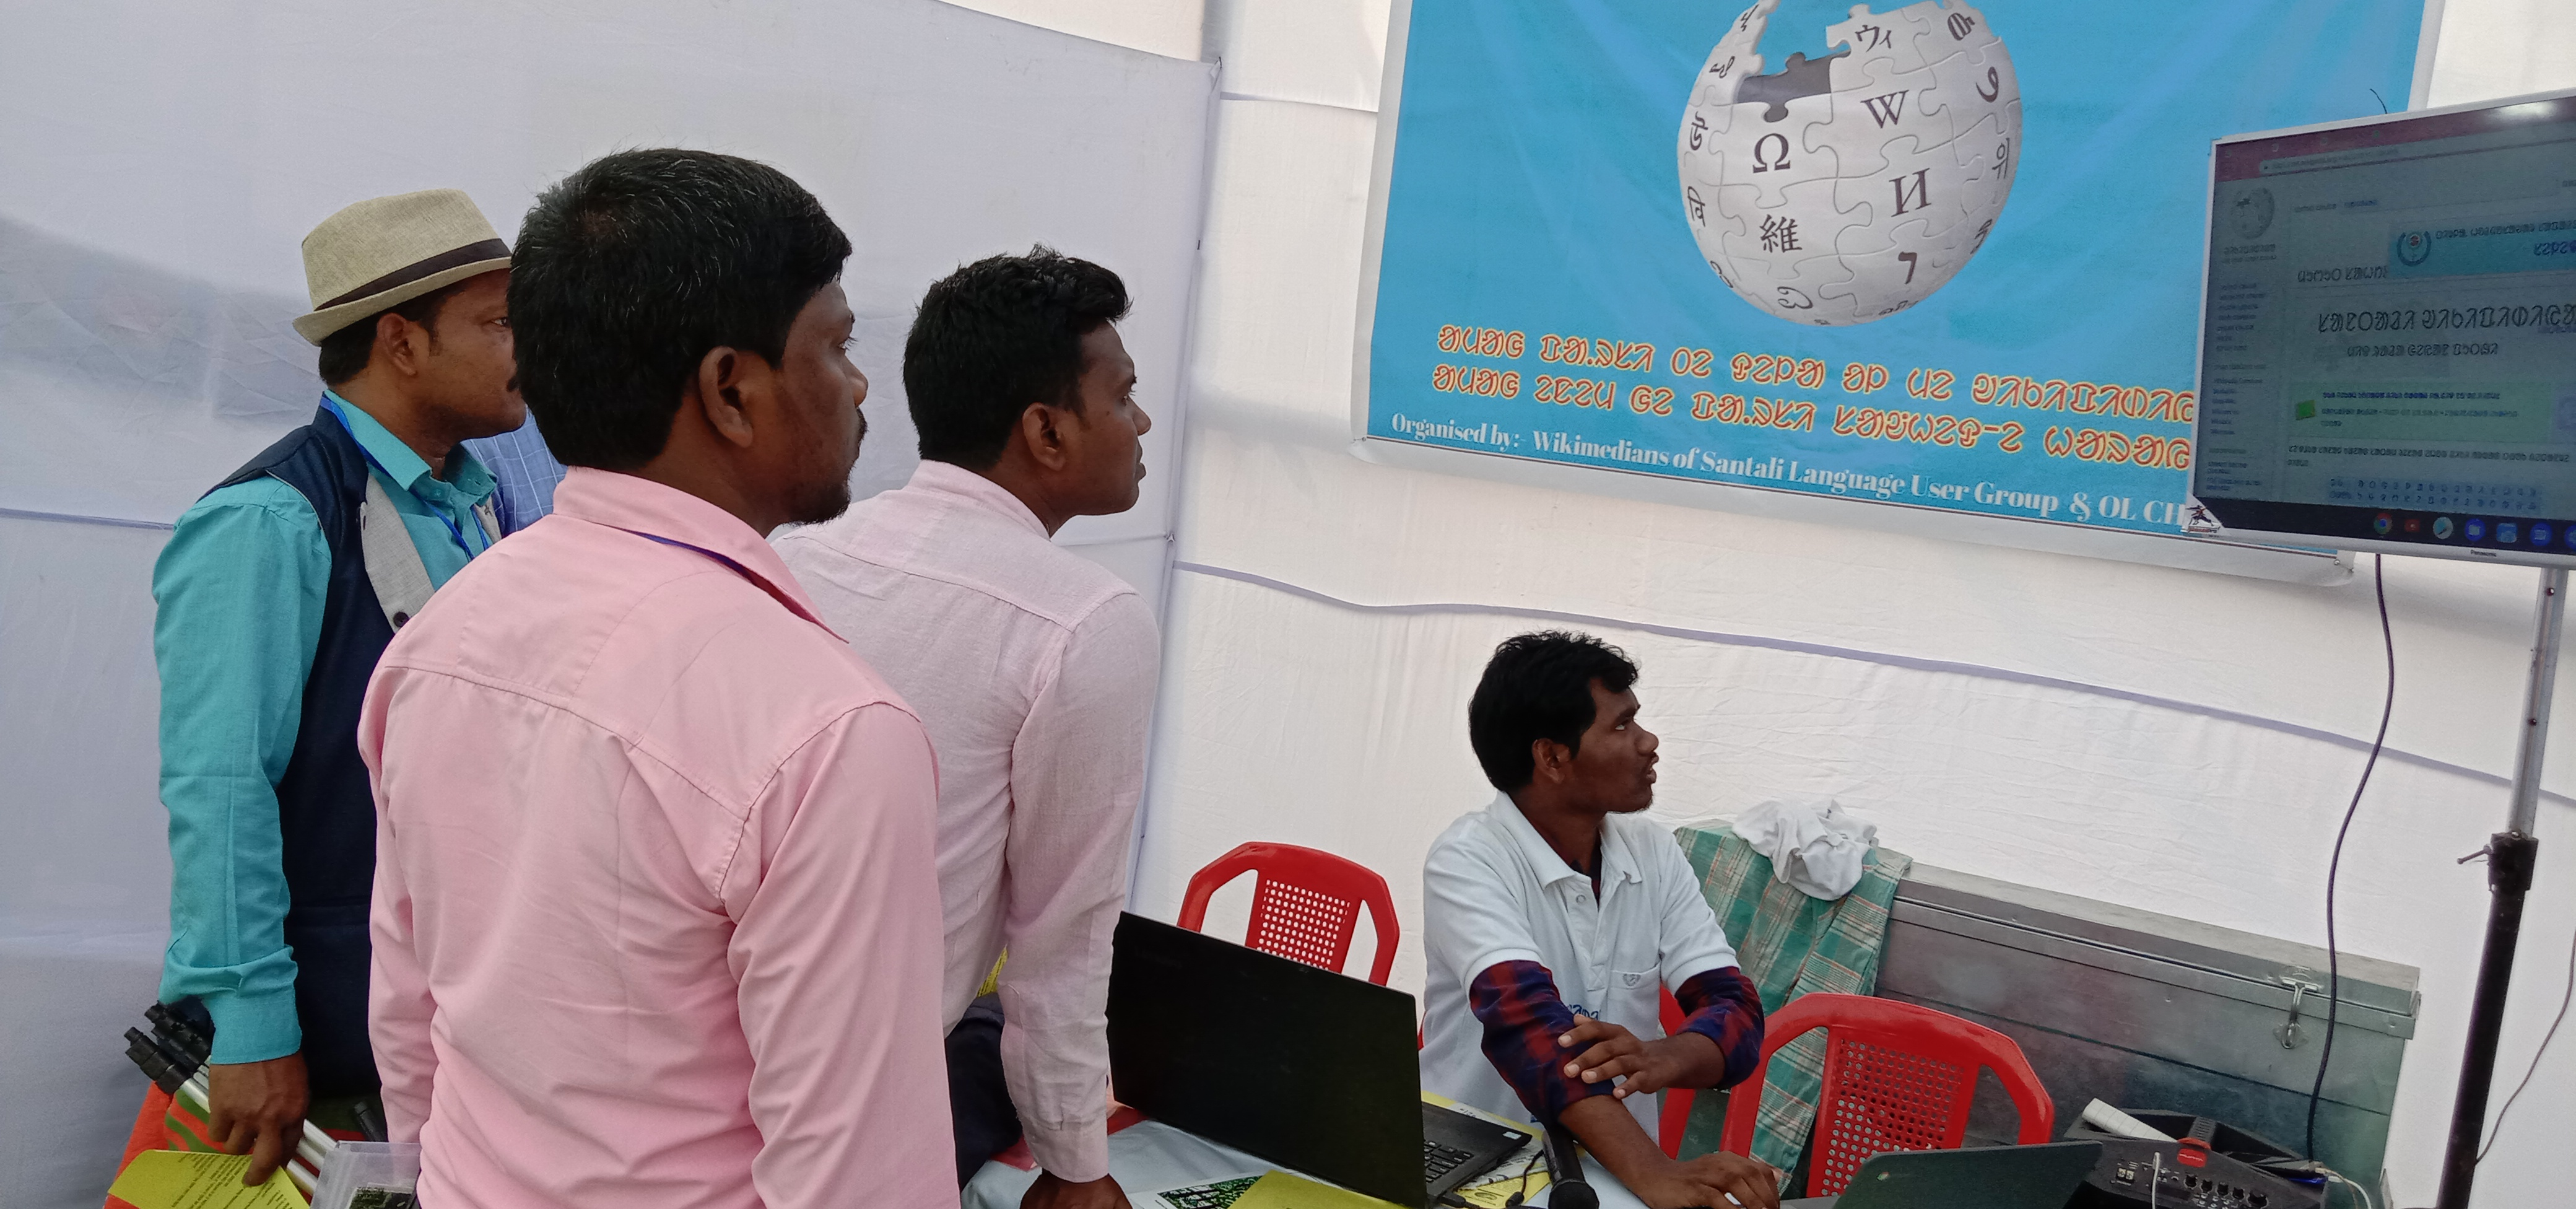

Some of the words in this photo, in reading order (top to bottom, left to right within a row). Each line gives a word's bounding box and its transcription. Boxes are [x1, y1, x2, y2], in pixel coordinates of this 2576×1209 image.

[1882, 164, 1934, 219] H
[1386, 409, 1492, 457] Organised
[1489, 421, 1517, 454] by
[1526, 429, 1674, 473] Wikimedians
[1664, 440, 1705, 478] of
[1692, 444, 1789, 482] Santali
[1784, 454, 1912, 504] Language
[1905, 471, 1975, 504] User
[1969, 478, 2061, 519] Group
[2063, 486, 2093, 522] &
[2092, 485, 2141, 525] OL